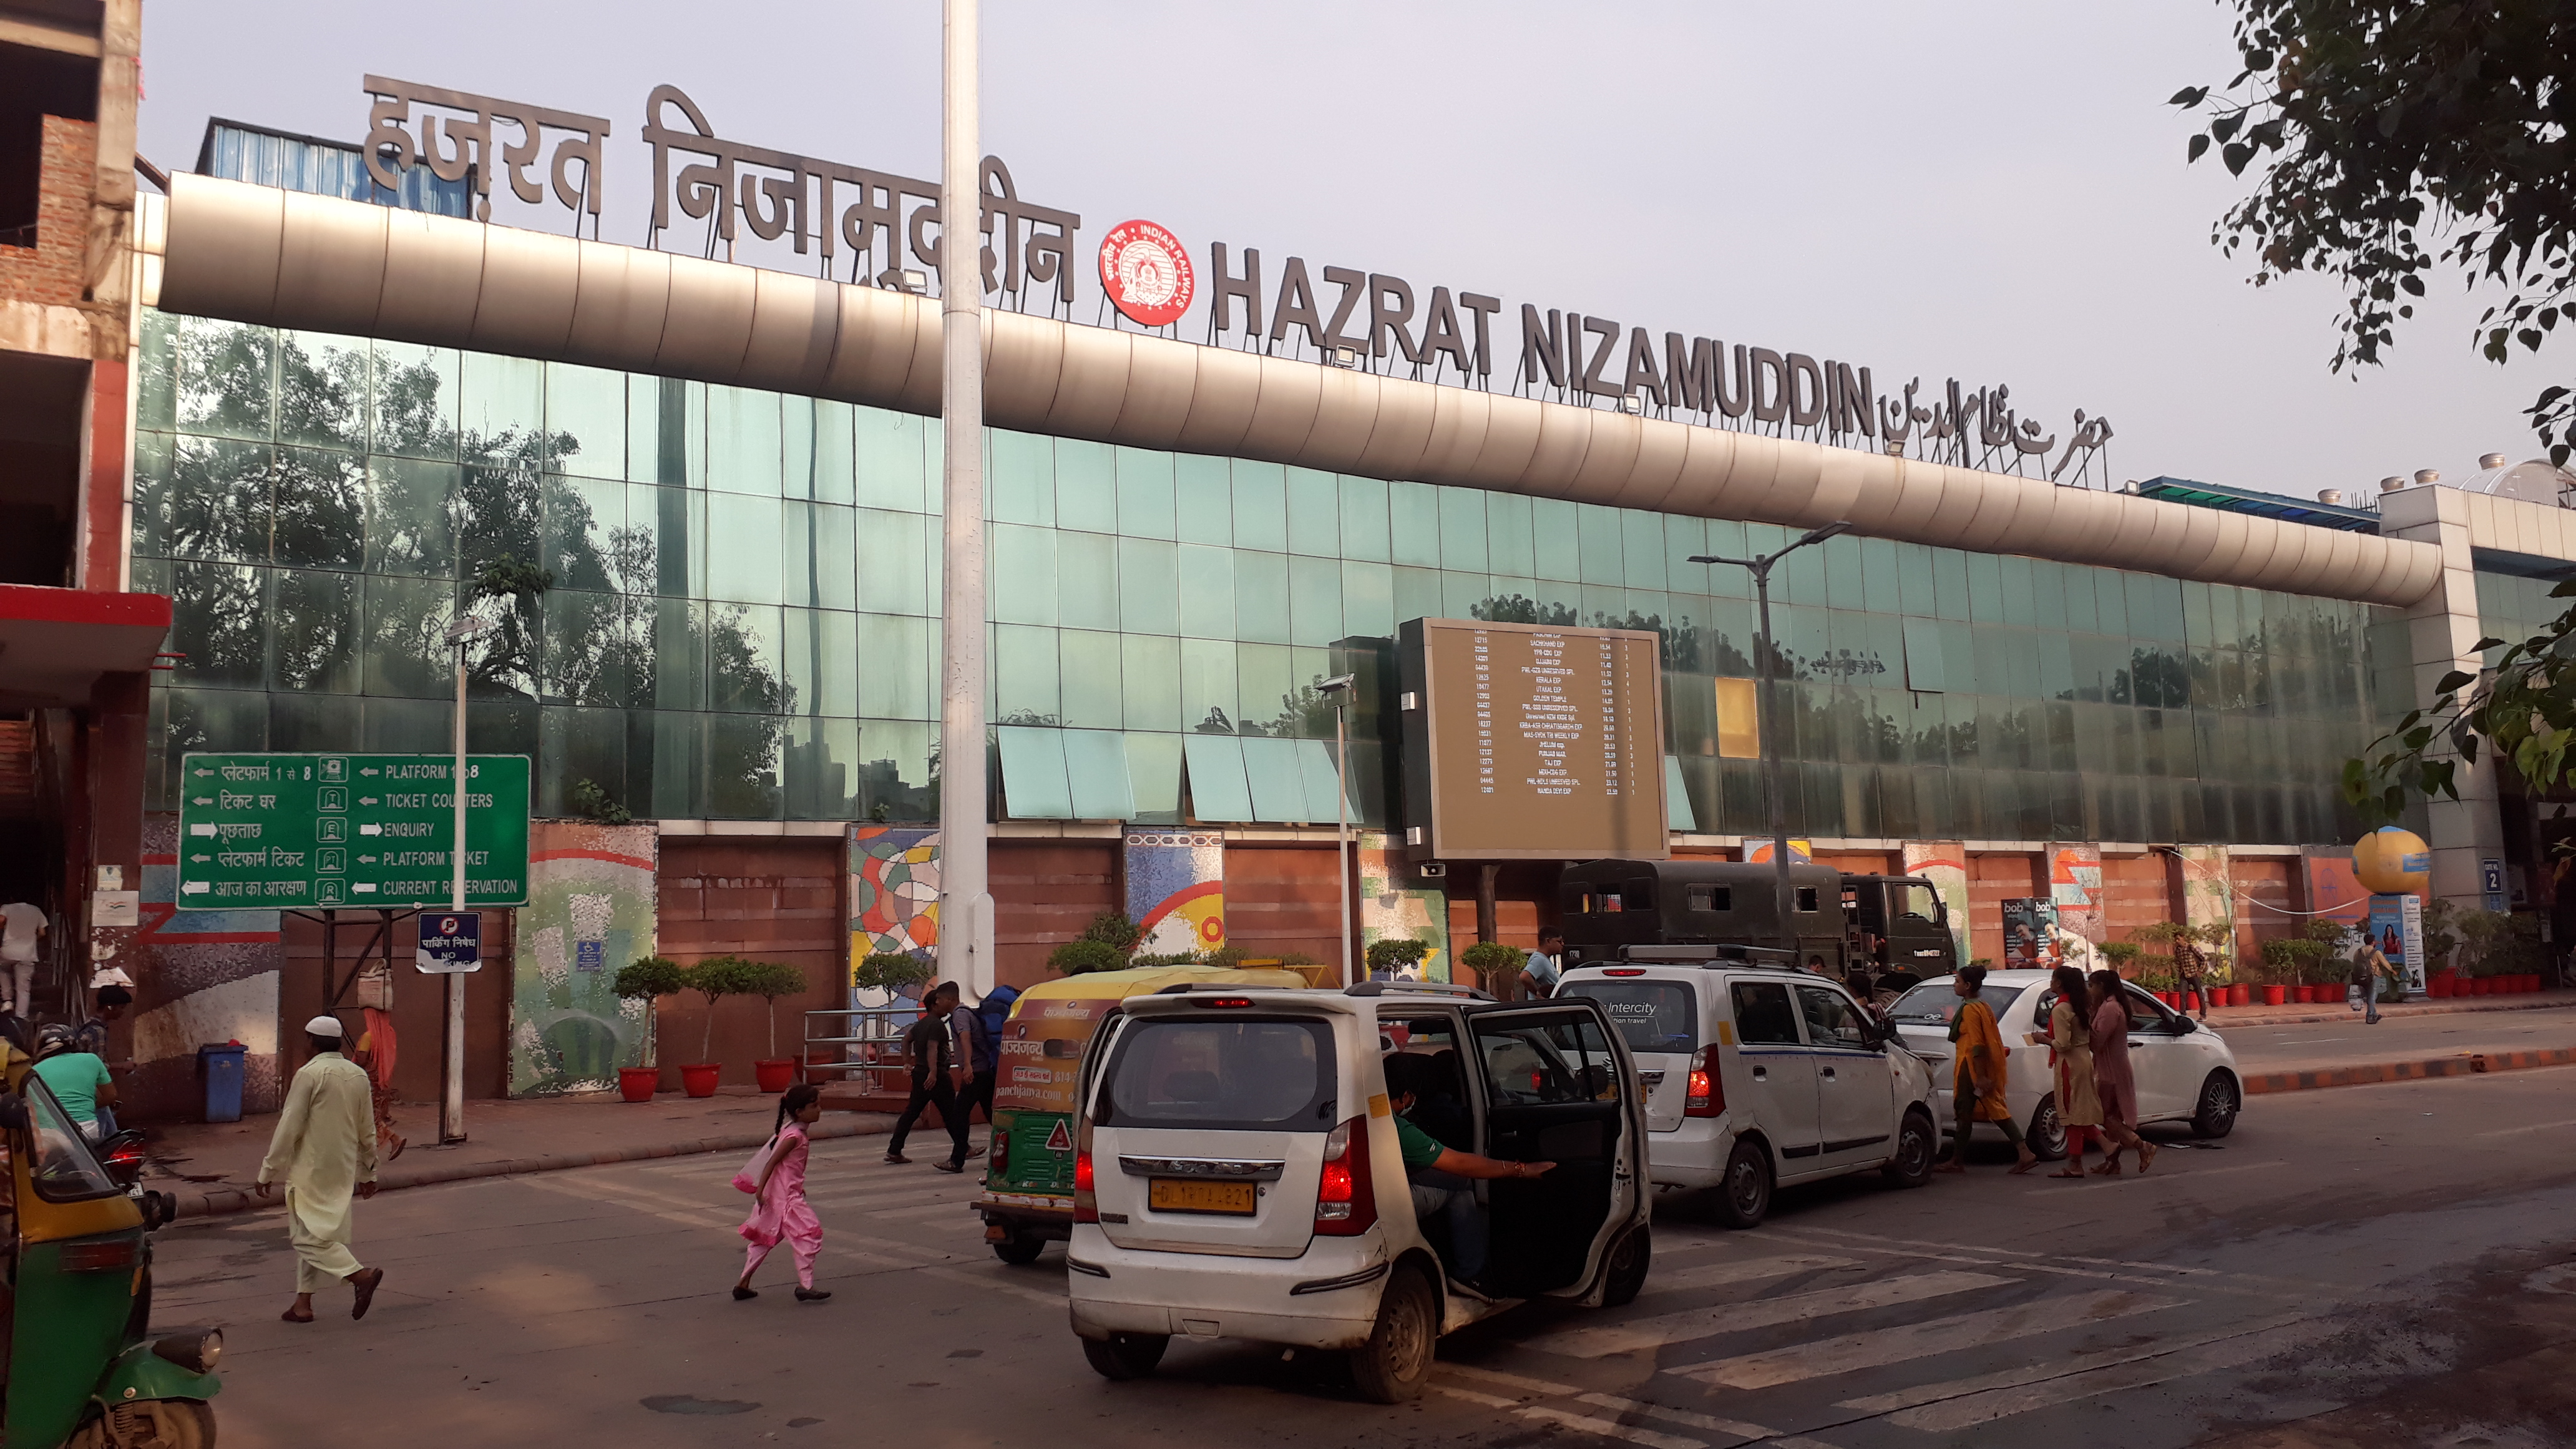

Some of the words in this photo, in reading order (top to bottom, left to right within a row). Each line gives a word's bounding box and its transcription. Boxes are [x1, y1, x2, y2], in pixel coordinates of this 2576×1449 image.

[359, 69, 616, 225] हजरत
[637, 79, 1085, 308] निजामुद्दीन
[1107, 227, 1130, 247] रेल
[1140, 219, 1180, 253] INDIAN
[1099, 239, 1119, 283] भारतीय
[1169, 246, 1194, 313] RAILWAYS
[1213, 235, 1505, 379] HAZRAT
[1522, 300, 1877, 441] NIZAMUDDIN
[218, 757, 273, 784] प्‍लेटफार्म
[274, 762, 314, 784] 1 से 8
[386, 761, 449, 781] PLATFORM
[213, 784, 257, 812] टिकट
[256, 791, 278, 813] घर
[382, 790, 429, 809] TICKET
[429, 787, 496, 811] COUTERS
[217, 821, 265, 847] पूछताछ
[383, 819, 436, 841] ENQUIRY
[217, 843, 270, 869] प्‍लेटफार्म
[266, 839, 307, 871] टिकट
[381, 848, 446, 868] PLATFORM
[214, 878, 245, 898] आज
[243, 876, 265, 900] का
[260, 877, 309, 898] आरक्षण
[381, 878, 438, 897] CURRENT
[439, 876, 519, 897] RESERVATION
[417, 930, 452, 950] पार्किंग
[449, 932, 479, 950] निषेध
[436, 949, 457, 963] NO